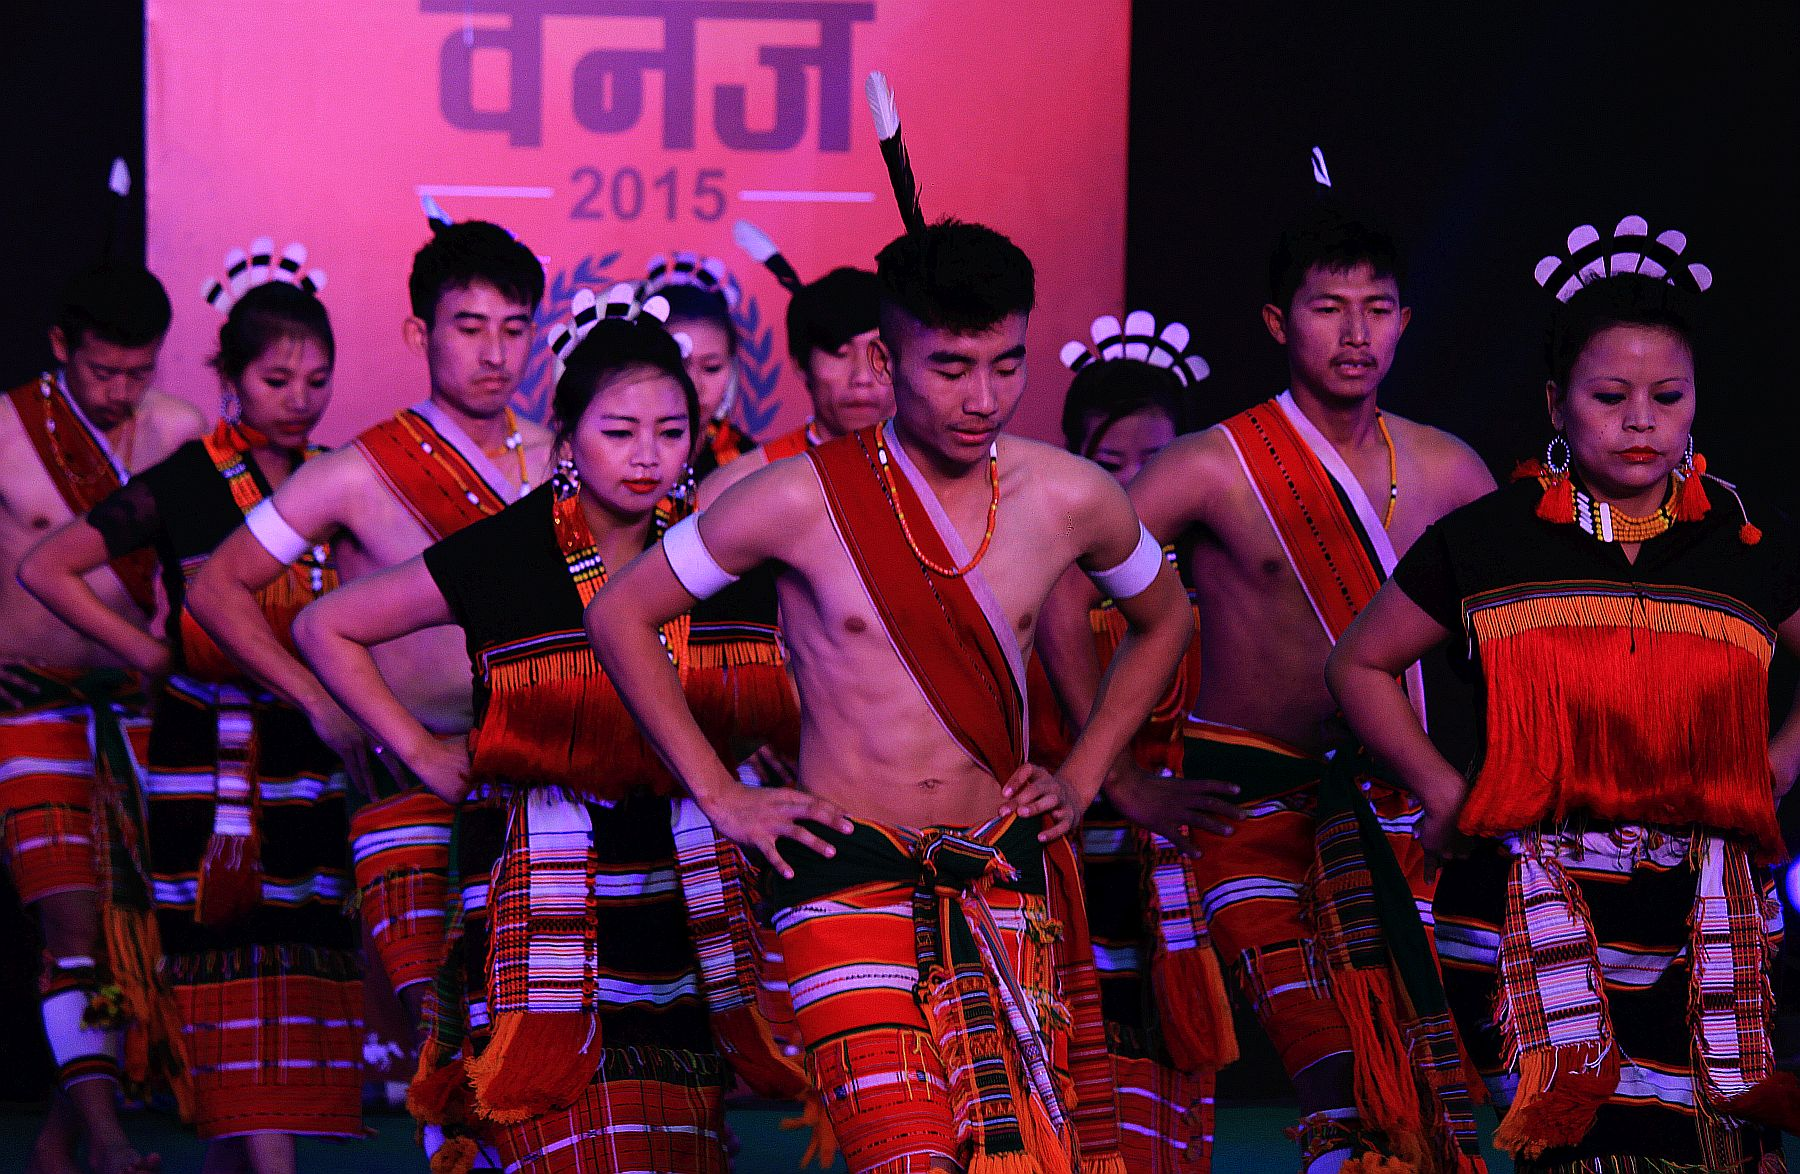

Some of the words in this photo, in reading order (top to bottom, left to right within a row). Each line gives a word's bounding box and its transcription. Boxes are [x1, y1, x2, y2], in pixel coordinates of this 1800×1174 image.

[422, 0, 879, 153] वनज
[569, 165, 729, 229] 2015